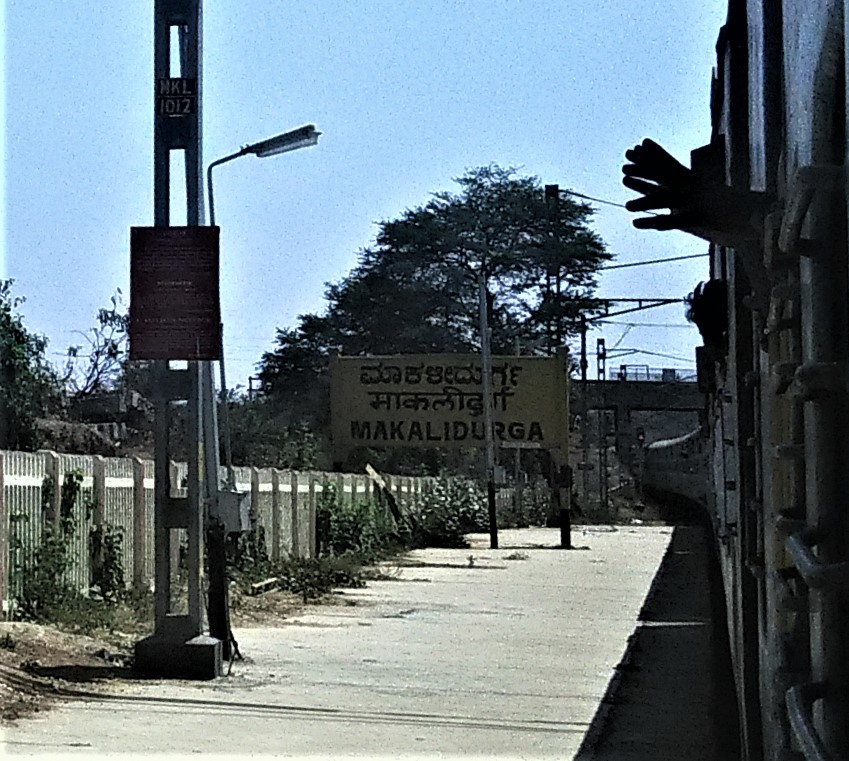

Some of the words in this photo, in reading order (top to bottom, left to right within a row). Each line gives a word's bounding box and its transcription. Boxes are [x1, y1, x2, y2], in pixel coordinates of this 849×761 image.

[355, 356, 527, 389] ಮಾಕಳೀಮರ್ಗ
[366, 382, 515, 421] माकलीदुर्गा
[348, 416, 549, 444] MAKALIDURGA